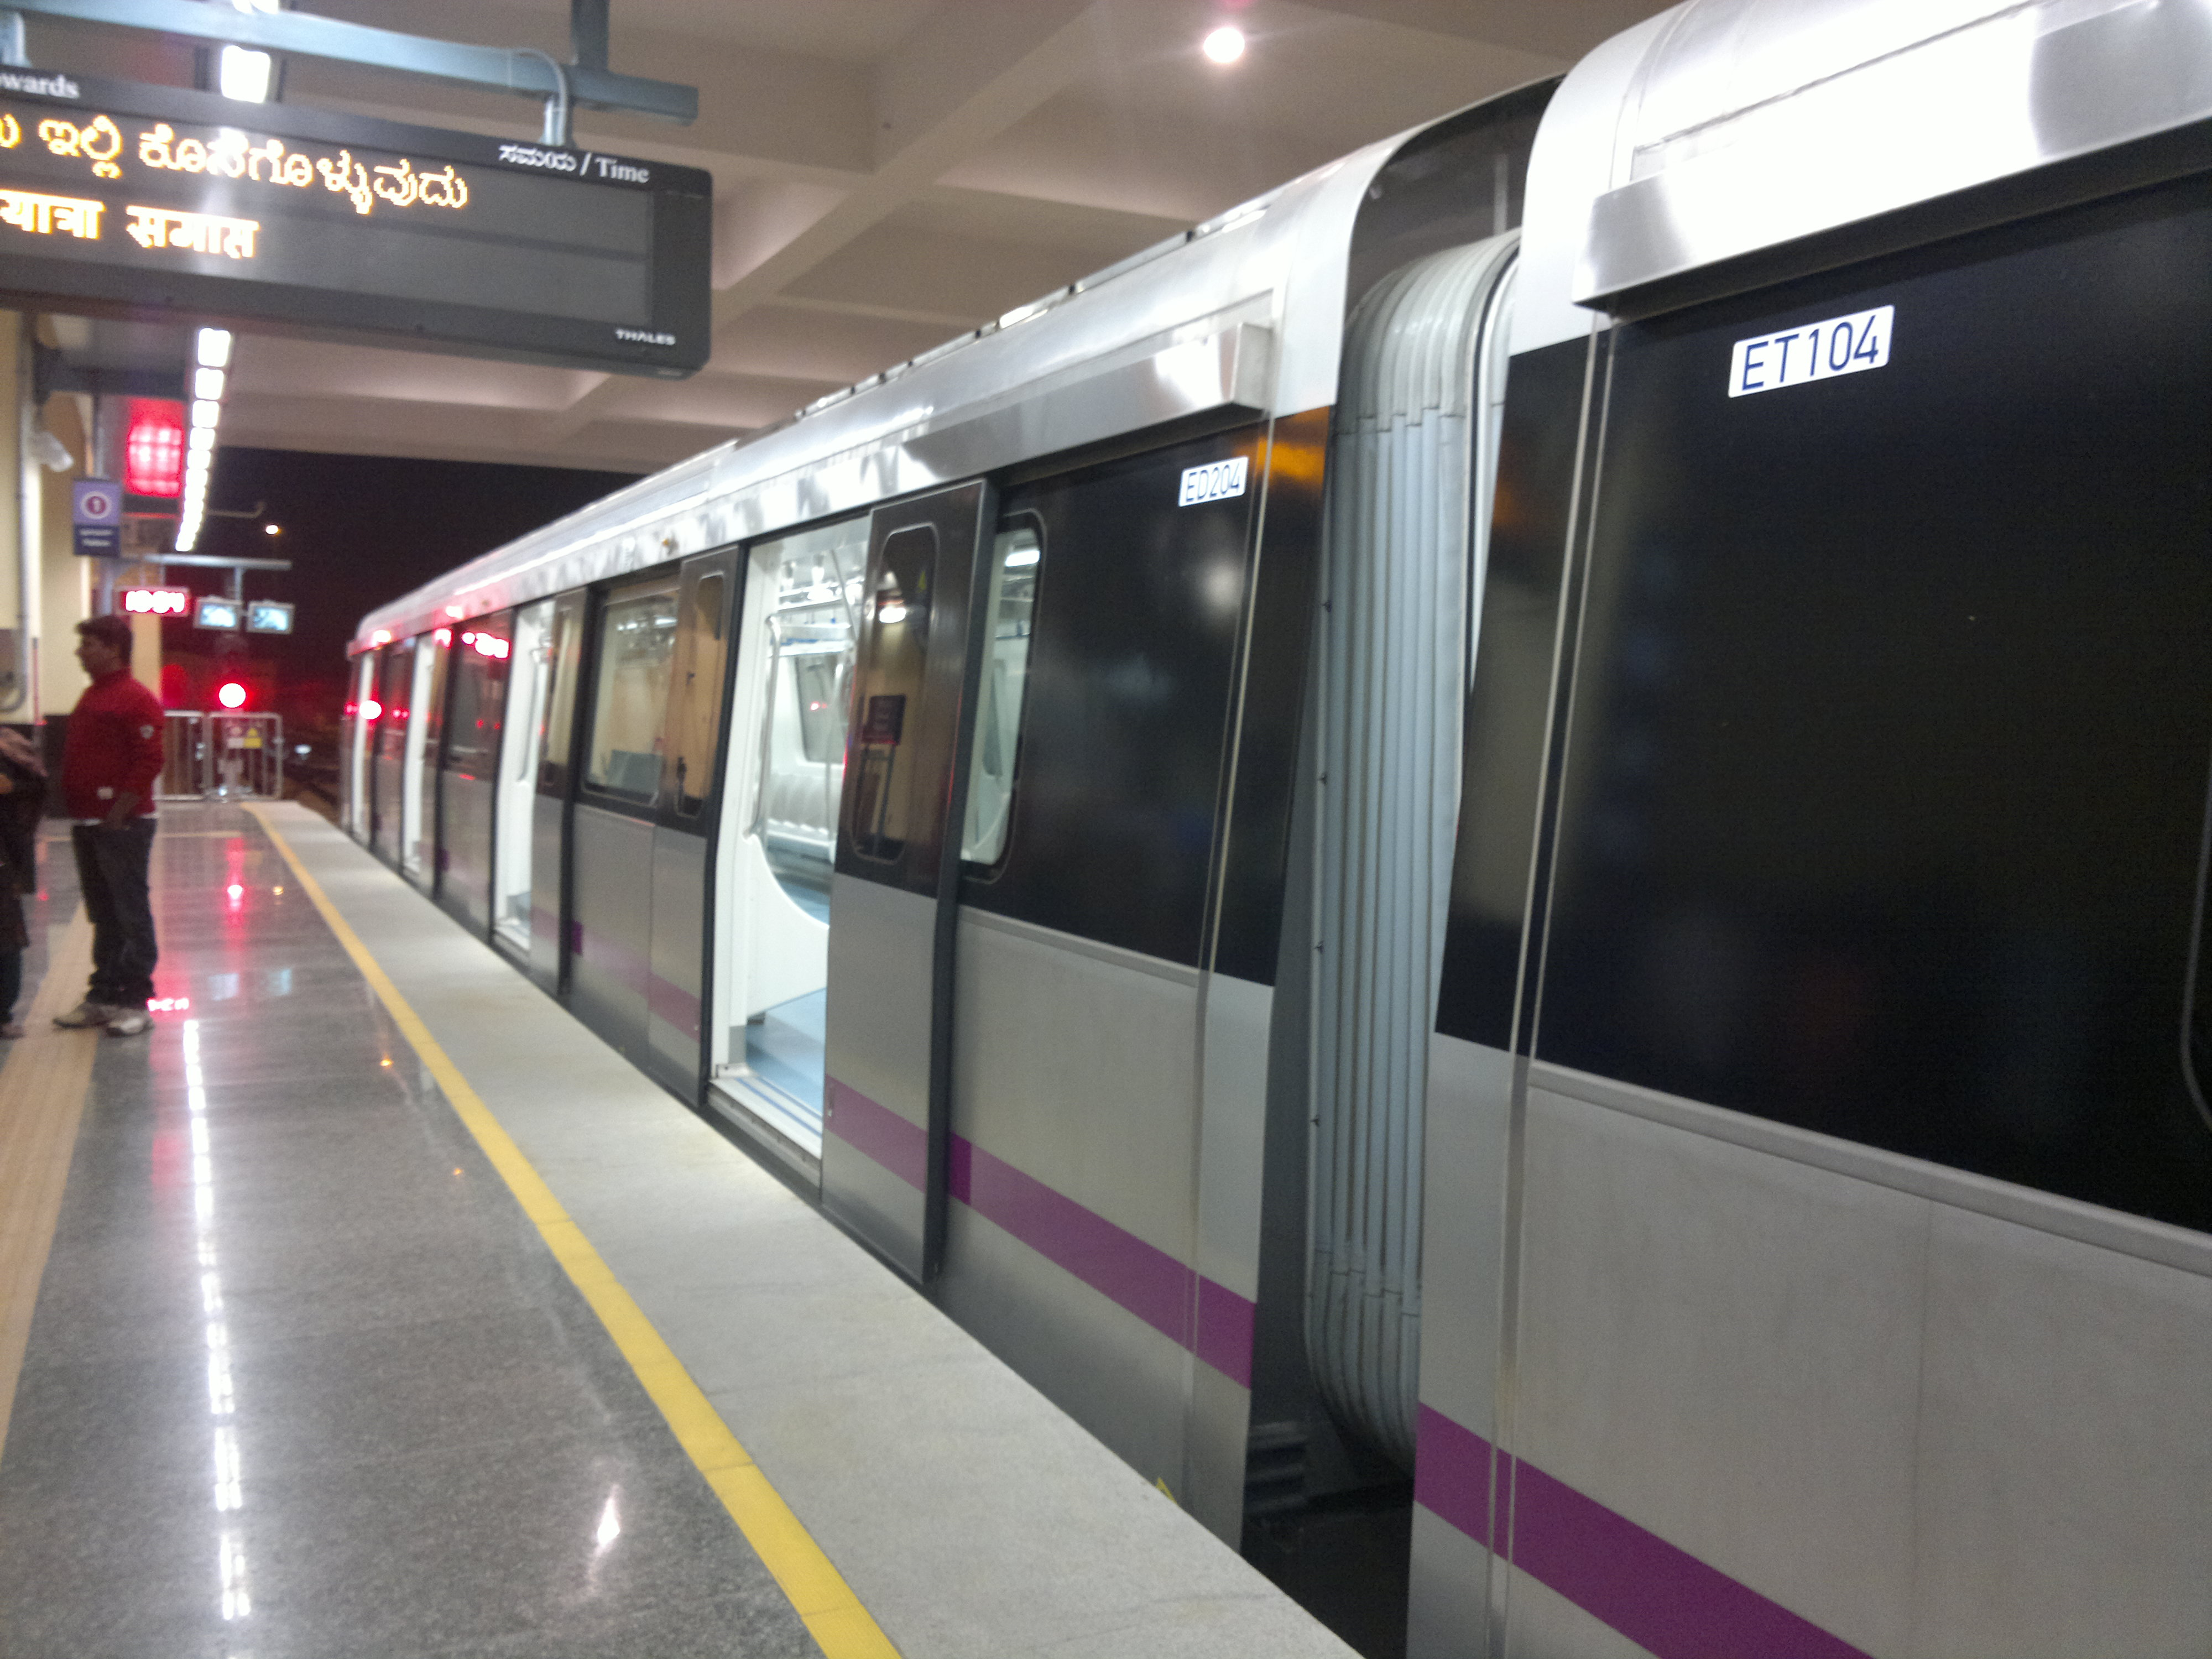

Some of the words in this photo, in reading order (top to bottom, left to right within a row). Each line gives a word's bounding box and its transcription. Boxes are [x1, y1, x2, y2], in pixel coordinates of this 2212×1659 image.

[27, 101, 128, 184] ಇಲ್ಲಿ
[132, 115, 474, 220] ಕೊಸಗೊಳ್ಳುಮದು
[492, 139, 587, 181] ಸಮಯ
[589, 146, 659, 186] Time
[0, 182, 107, 246] यात्रा
[122, 204, 265, 264] समाप्त
[1726, 306, 1895, 397] ET104